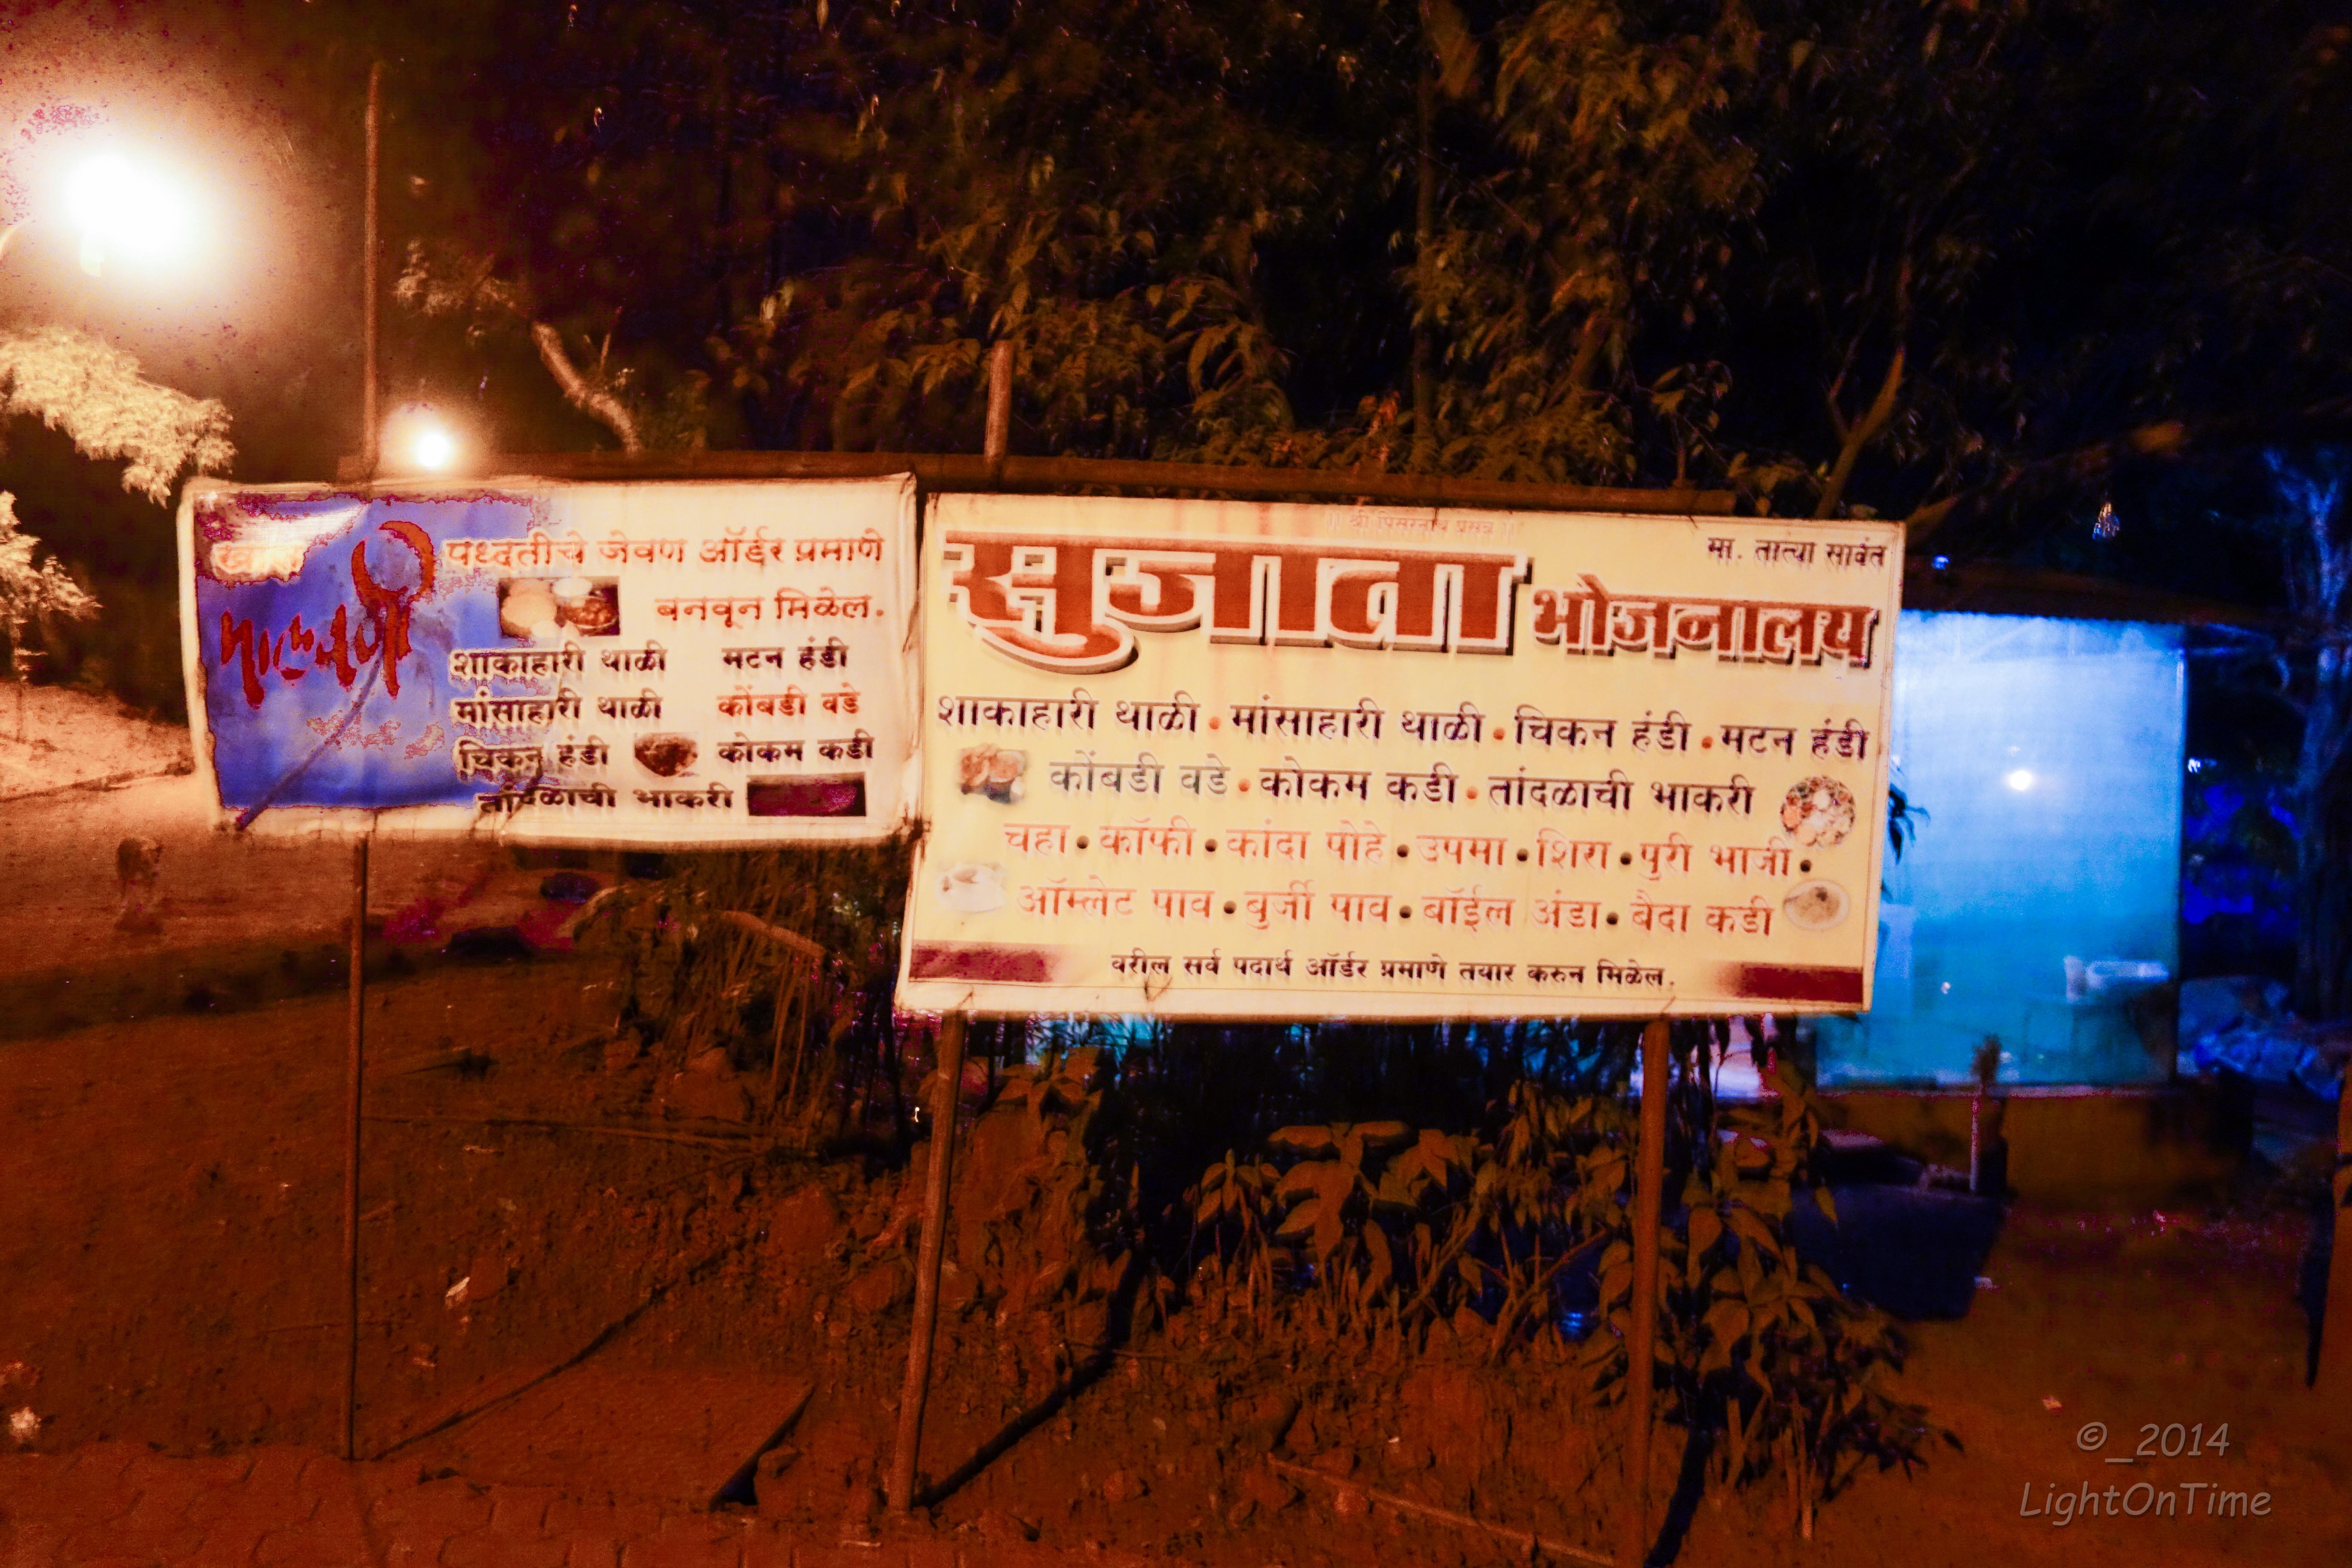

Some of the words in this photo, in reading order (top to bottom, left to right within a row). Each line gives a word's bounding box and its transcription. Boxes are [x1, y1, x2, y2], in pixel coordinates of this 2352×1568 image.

[1341, 500, 1373, 532] श्री
[1366, 506, 1453, 537] पिसरनाथ
[445, 527, 592, 576] पध्दतीचे
[594, 530, 691, 573] जेवण
[693, 524, 793, 569] ऑर्डर
[794, 523, 895, 570] प्रमाणे
[1701, 526, 1743, 569] मा.
[1749, 535, 1821, 571] तात्या
[1819, 539, 1883, 571] सावत
[649, 588, 763, 631] बनवून
[771, 582, 886, 626] मिळल
[940, 524, 1537, 680] सुजाता
[1528, 568, 1882, 671] भोजनालय
[449, 634, 591, 682] शाकाहारी
[597, 634, 672, 680] थाळी
[719, 640, 792, 674] मटन
[790, 633, 853, 680] हंडी
[444, 721, 545, 776] चिकन
[451, 683, 585, 729] मांसाहारी
[474, 775, 619, 818] तांदळाची
[553, 730, 622, 769] हंडी
[592, 688, 668, 731] थाळी
[632, 778, 738, 816] भाकरी
[714, 733, 806, 775] कोकम
[715, 672, 814, 722] कोंबडी
[813, 673, 867, 724] वडे
[812, 724, 879, 768] कडी
[936, 678, 1107, 734] शाकाहारी
[1046, 741, 1170, 799] कोंबडी
[1113, 679, 1205, 736] थाळी
[1174, 746, 1239, 799] वडे
[1226, 683, 1387, 741] मांसाहारी
[1254, 759, 1373, 809] कोकम
[1380, 763, 1461, 814] कडी
[1400, 699, 1492, 745] थाळी
[1485, 767, 1636, 820] तांदळाची
[1506, 701, 1617, 754] चिकन
[1627, 705, 1699, 756] हंडी
[1645, 771, 1760, 824] भाकरी
[1714, 718, 1798, 763] मटन
[1798, 710, 1877, 775] हंडी
[995, 819, 1074, 863] चहा
[1092, 814, 1201, 863] कॉफी
[1219, 807, 1319, 864] कांदा
[1317, 820, 1392, 871] पोहे
[1415, 830, 1516, 875] उपमा
[1510, 827, 1611, 878] शिरा
[1619, 829, 1697, 884] पुरी
[1706, 822, 1804, 880] भाजी
[1020, 873, 1146, 925] ऑम्लेट
[1146, 877, 1220, 924] पाव
[1242, 876, 1326, 940] बुर्जी
[1327, 884, 1401, 927] पाव
[1418, 884, 1518, 933] बॉईल
[1529, 888, 1615, 935] अंडा
[1623, 895, 1690, 935] बेदा
[1694, 889, 1779, 942] कडी
[1107, 946, 1174, 1001] वरील
[1179, 944, 1230, 978] सर्व
[1230, 939, 1298, 979] पदार्थ
[1302, 946, 1367, 991] ऑर्डर
[1377, 948, 1454, 980] प्रमणे
[1453, 955, 1518, 993] तयार
[1522, 956, 1588, 995] करुन
[1589, 956, 1669, 995] मिळेल
[2076, 1415, 2238, 1467] ©_2014
[2008, 1476, 2179, 1532] LightOn
[2175, 1479, 2281, 1522] Time